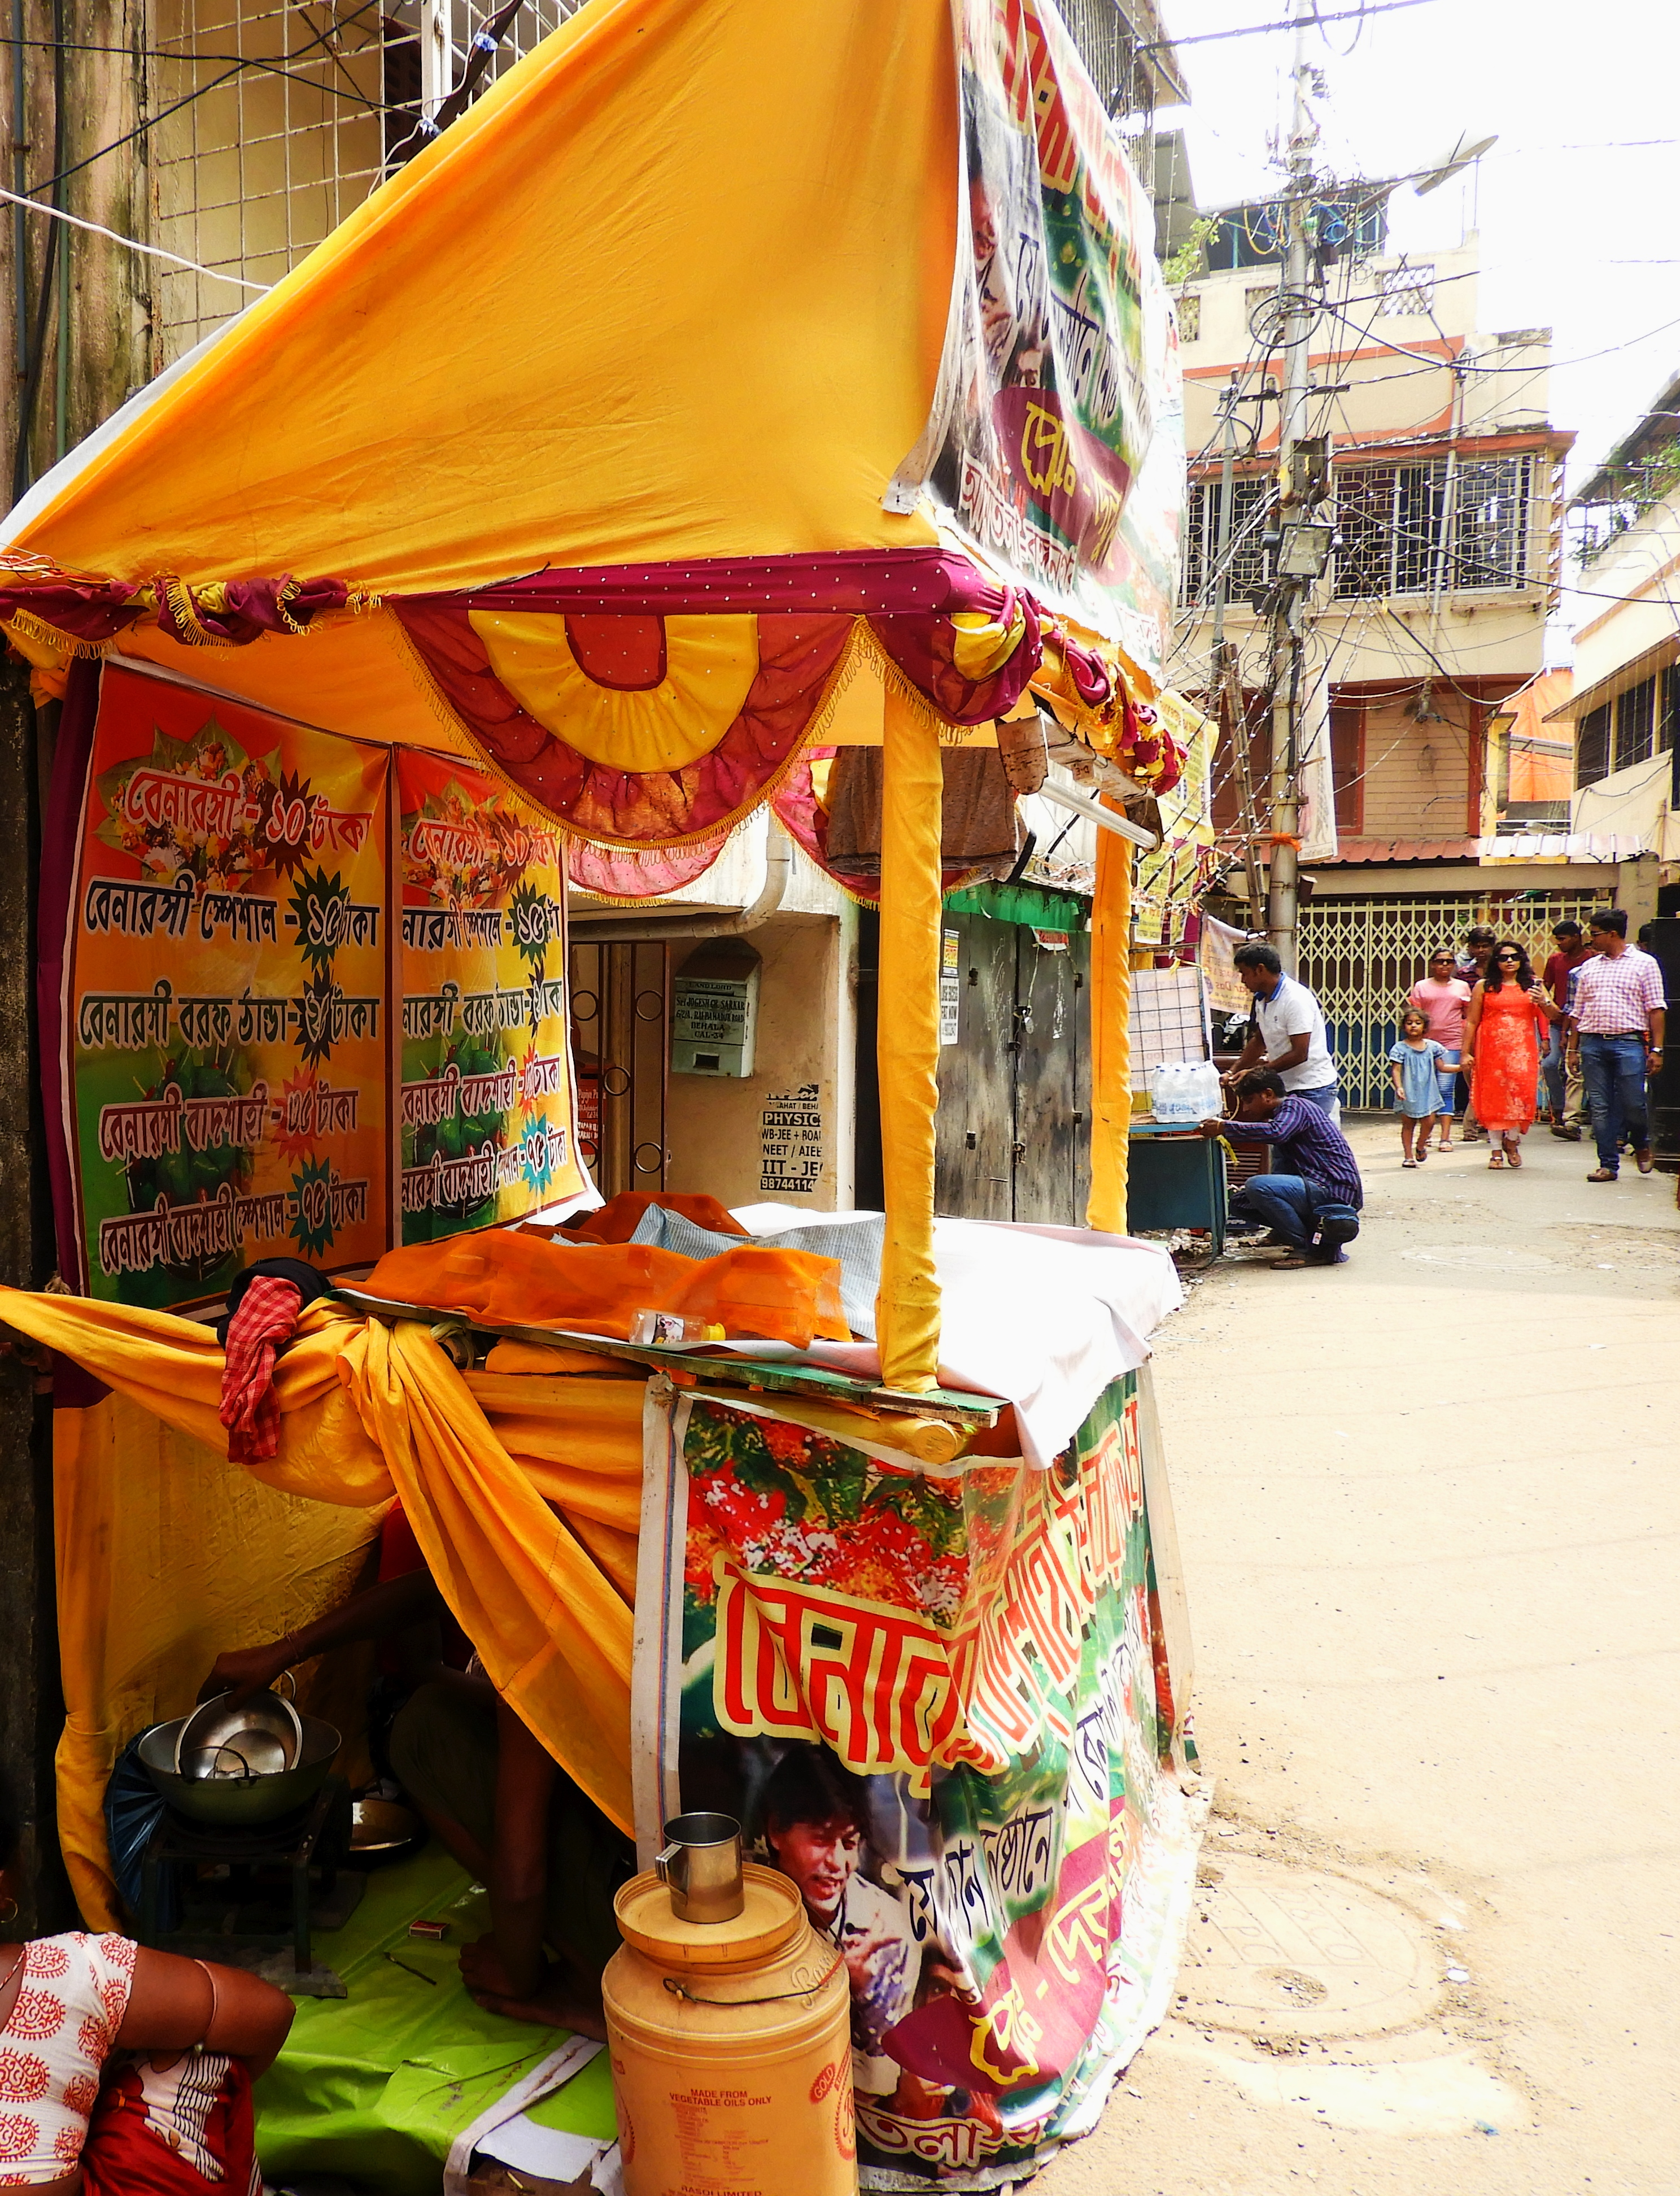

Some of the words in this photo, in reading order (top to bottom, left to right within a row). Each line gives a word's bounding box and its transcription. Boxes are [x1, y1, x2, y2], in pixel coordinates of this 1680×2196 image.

[117, 763, 248, 844] বেনারসী
[256, 786, 374, 856] ১০টাকা
[406, 812, 488, 874] বেনারসী
[79, 866, 202, 944] বেনারন্সী
[195, 886, 282, 947] স্পেশাল
[306, 890, 381, 951] ১৫-টোকা
[397, 891, 466, 954] নারসী
[458, 904, 509, 953] স্পেশাল-
[509, 895, 566, 947] ১৫
[75, 969, 177, 1055] বেনাৱসী
[173, 992, 238, 1051] বরফ
[232, 980, 291, 1050] ঠান্ডা
[298, 982, 384, 1046] ২ টাকা
[398, 974, 462, 1043] মারন্সী
[461, 981, 530, 1039] বরফ ঠান্ডা-
[672, 1006, 694, 1023] 6/2/A,
[673, 994, 712, 1012] SriJOGESH
[687, 980, 735, 992] LANDLORD
[692, 1007, 748, 1024] RAI BAHADUR ROAD
[718, 994, 746, 1012] SARKAR
[94, 1190, 176, 1280] বেনাৱসী
[97, 1077, 188, 1167] বেনাৱসী
[168, 1178, 242, 1266] বাদশাহী
[185, 1075, 276, 1157] বাদশাহী
[229, 1179, 291, 1249] স্পেশাল
[282, 1075, 360, 1141] ৩৫টাকা
[295, 1167, 373, 1239] ৭৫টাকা
[395, 1061, 466, 1131] বনাৱসী
[391, 1134, 503, 1217] নারসী বাদশাহী
[456, 1052, 520, 1122] বাদশাহী
[521, 1119, 570, 1180] ৭৫টাম
[760, 1155, 788, 1177] IIT
[760, 1140, 789, 1158] NEET
[758, 1124, 793, 1144] WB-JEE
[757, 1108, 823, 1131] PHYSIC
[667, 2089, 725, 2110] VEGETABLE
[686, 2084, 720, 2102] MADE
[719, 2093, 748, 2111] OILS
[716, 2085, 753, 2103] FROM
[744, 2093, 773, 2109] ONLY